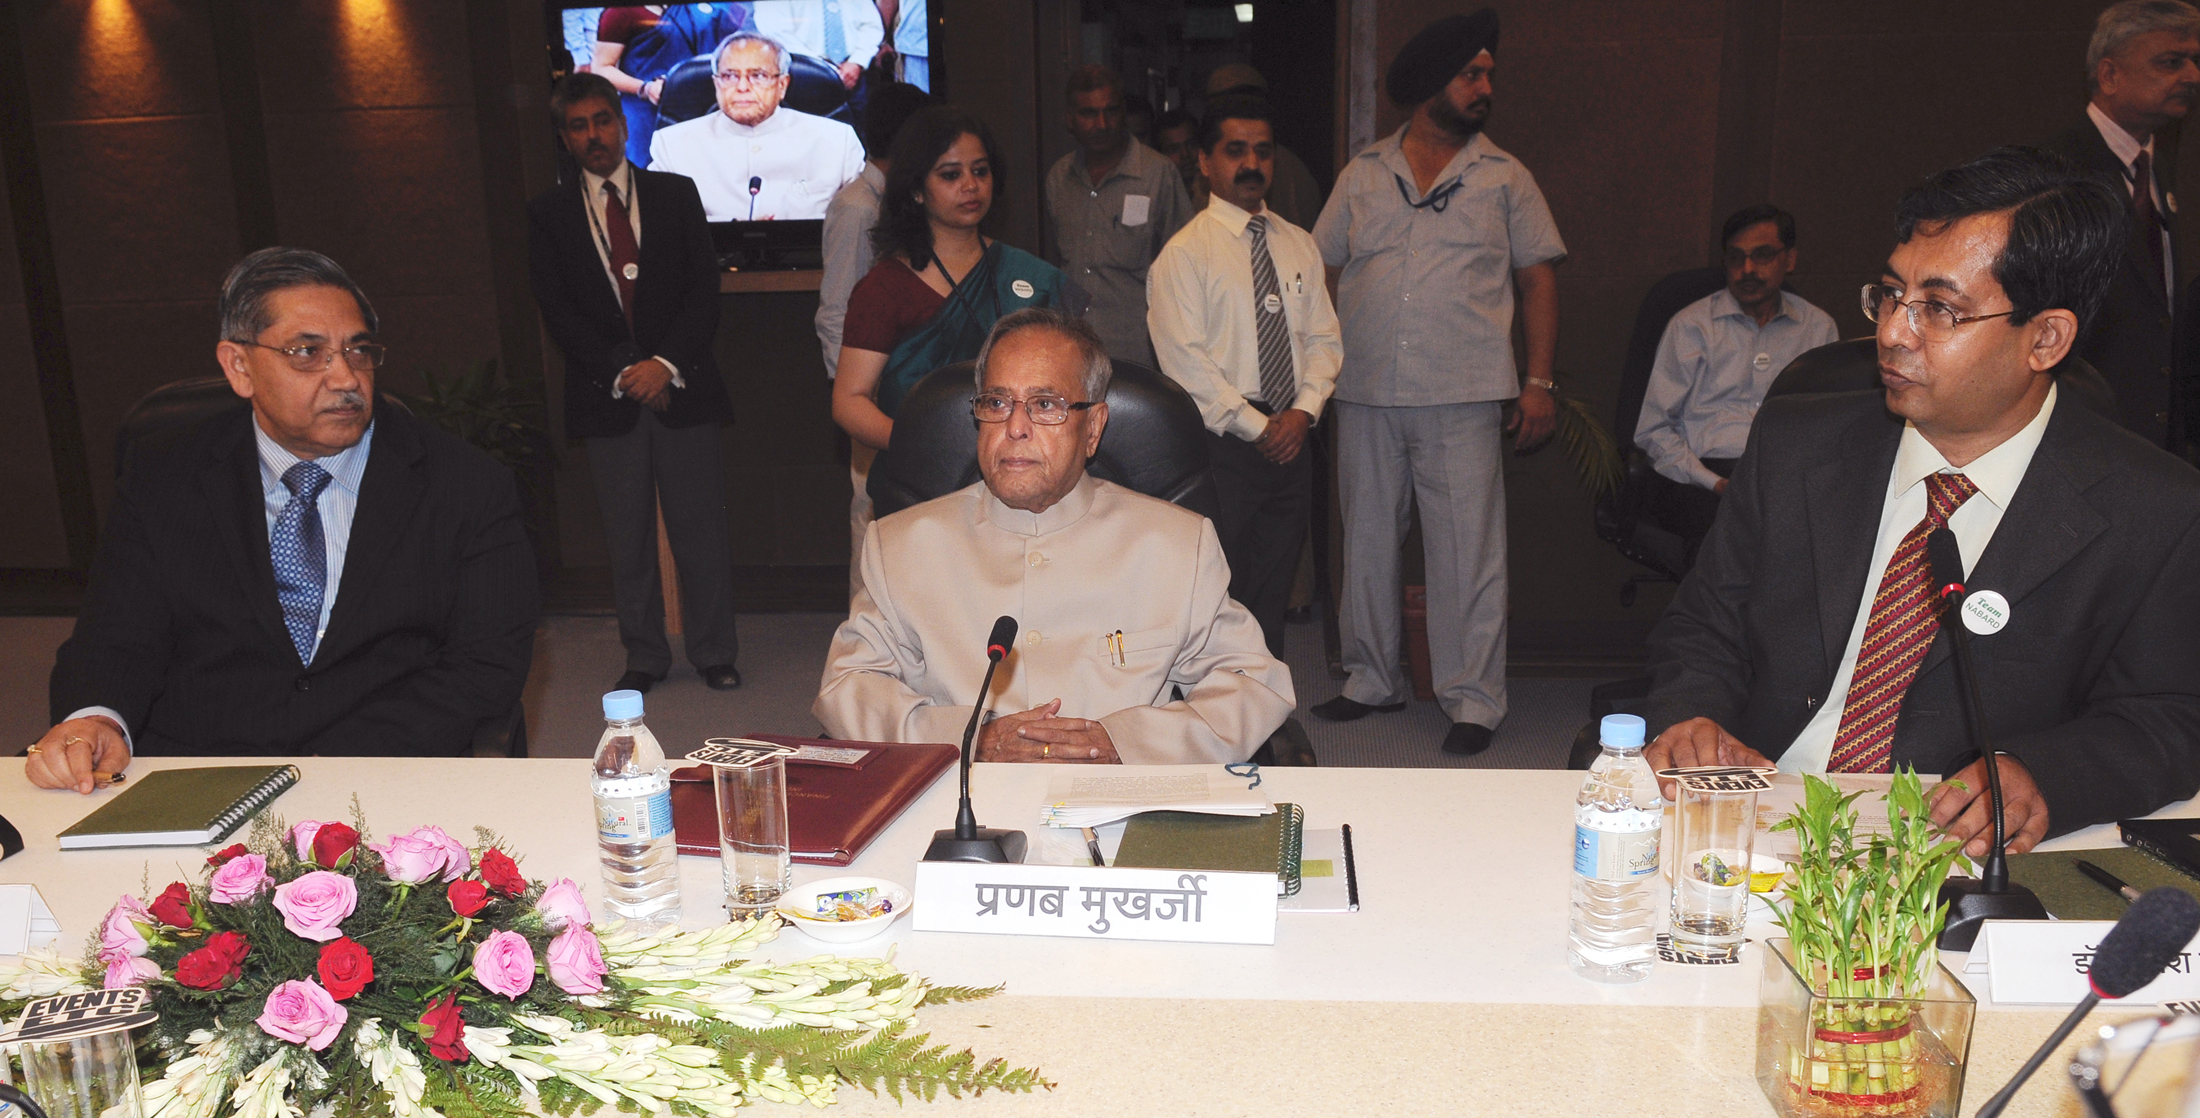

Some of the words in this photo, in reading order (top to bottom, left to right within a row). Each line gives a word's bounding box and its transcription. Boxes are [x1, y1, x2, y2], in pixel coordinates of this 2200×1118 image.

[976, 883, 1069, 919] प्रणब
[1079, 871, 1208, 939] मुखर्जी